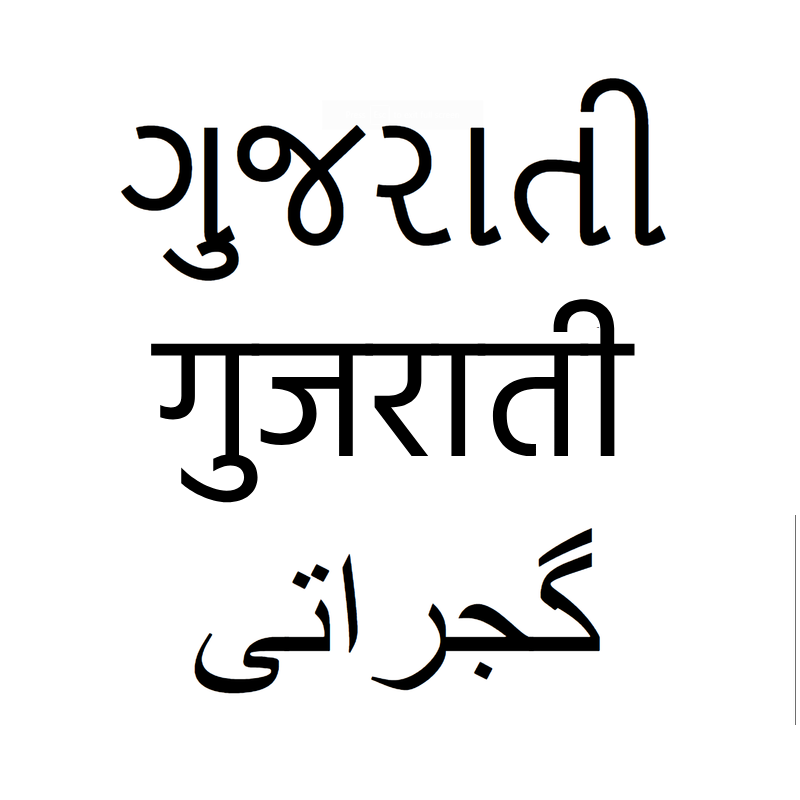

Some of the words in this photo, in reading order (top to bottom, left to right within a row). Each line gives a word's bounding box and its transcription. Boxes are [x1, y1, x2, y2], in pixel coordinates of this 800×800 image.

[109, 73, 673, 277] ગુજરાતી
[133, 301, 648, 504] गुजराती
[181, 522, 616, 711] گجراتی